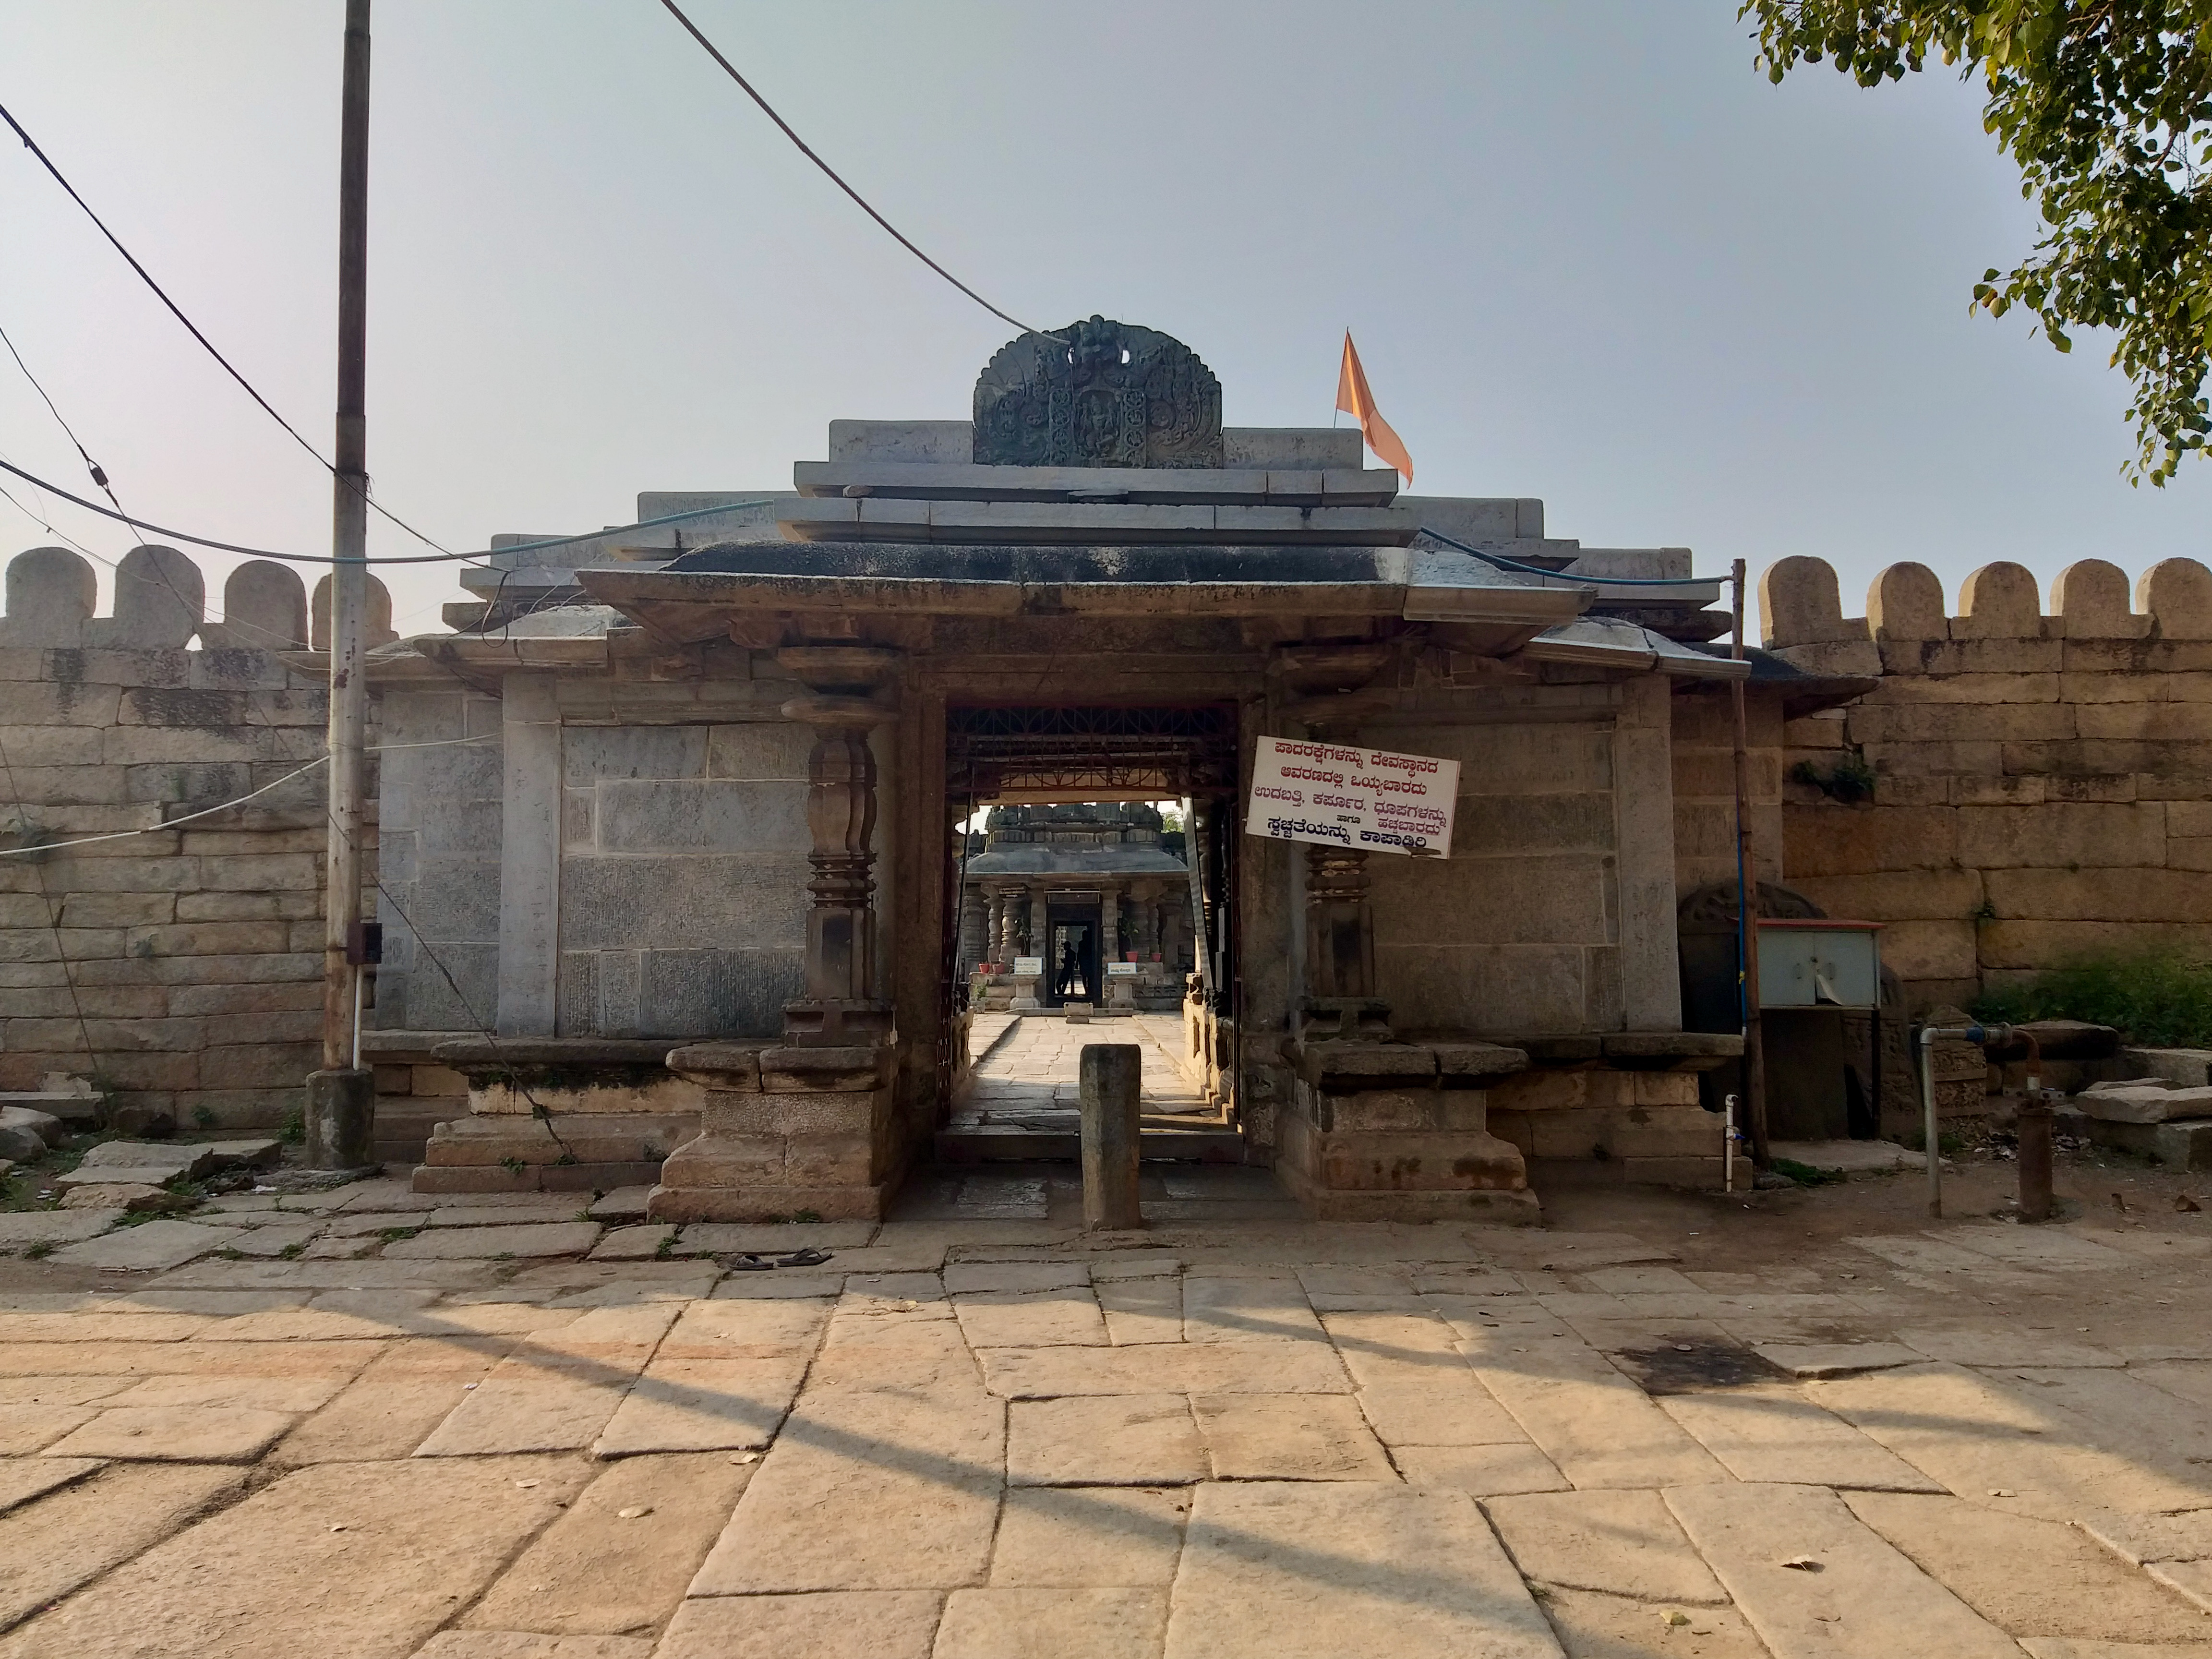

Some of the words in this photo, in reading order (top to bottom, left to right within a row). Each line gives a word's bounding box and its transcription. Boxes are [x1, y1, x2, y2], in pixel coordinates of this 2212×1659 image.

[1271, 739, 1366, 770] ಪಾದರಕ್ಷೆಗಳನ್ನು
[1368, 748, 1441, 779] ದೇವಸ್ಧಾನದ
[1251, 783, 1306, 809] ಉದಬತ್ತಿ
[1264, 816, 1355, 845] ಸ್ವಚ್ಚತೆಯನ್ನ
[1276, 764, 1346, 790] ಆವರಣದಲ್ಲಿ
[1310, 788, 1368, 813] ಕರ್ಪೂರ
[1334, 811, 1364, 825] ಹಾಗೂ
[1346, 771, 1430, 798] ಒಯ್ಯಬಾರದು
[1356, 828, 1429, 849] ಕಾಪಾಡಿರಿ
[1376, 815, 1443, 838] ಹಚ್ಚಬಾರದು
[1371, 799, 1449, 828] ಧೂಪಗಳನ್ನು